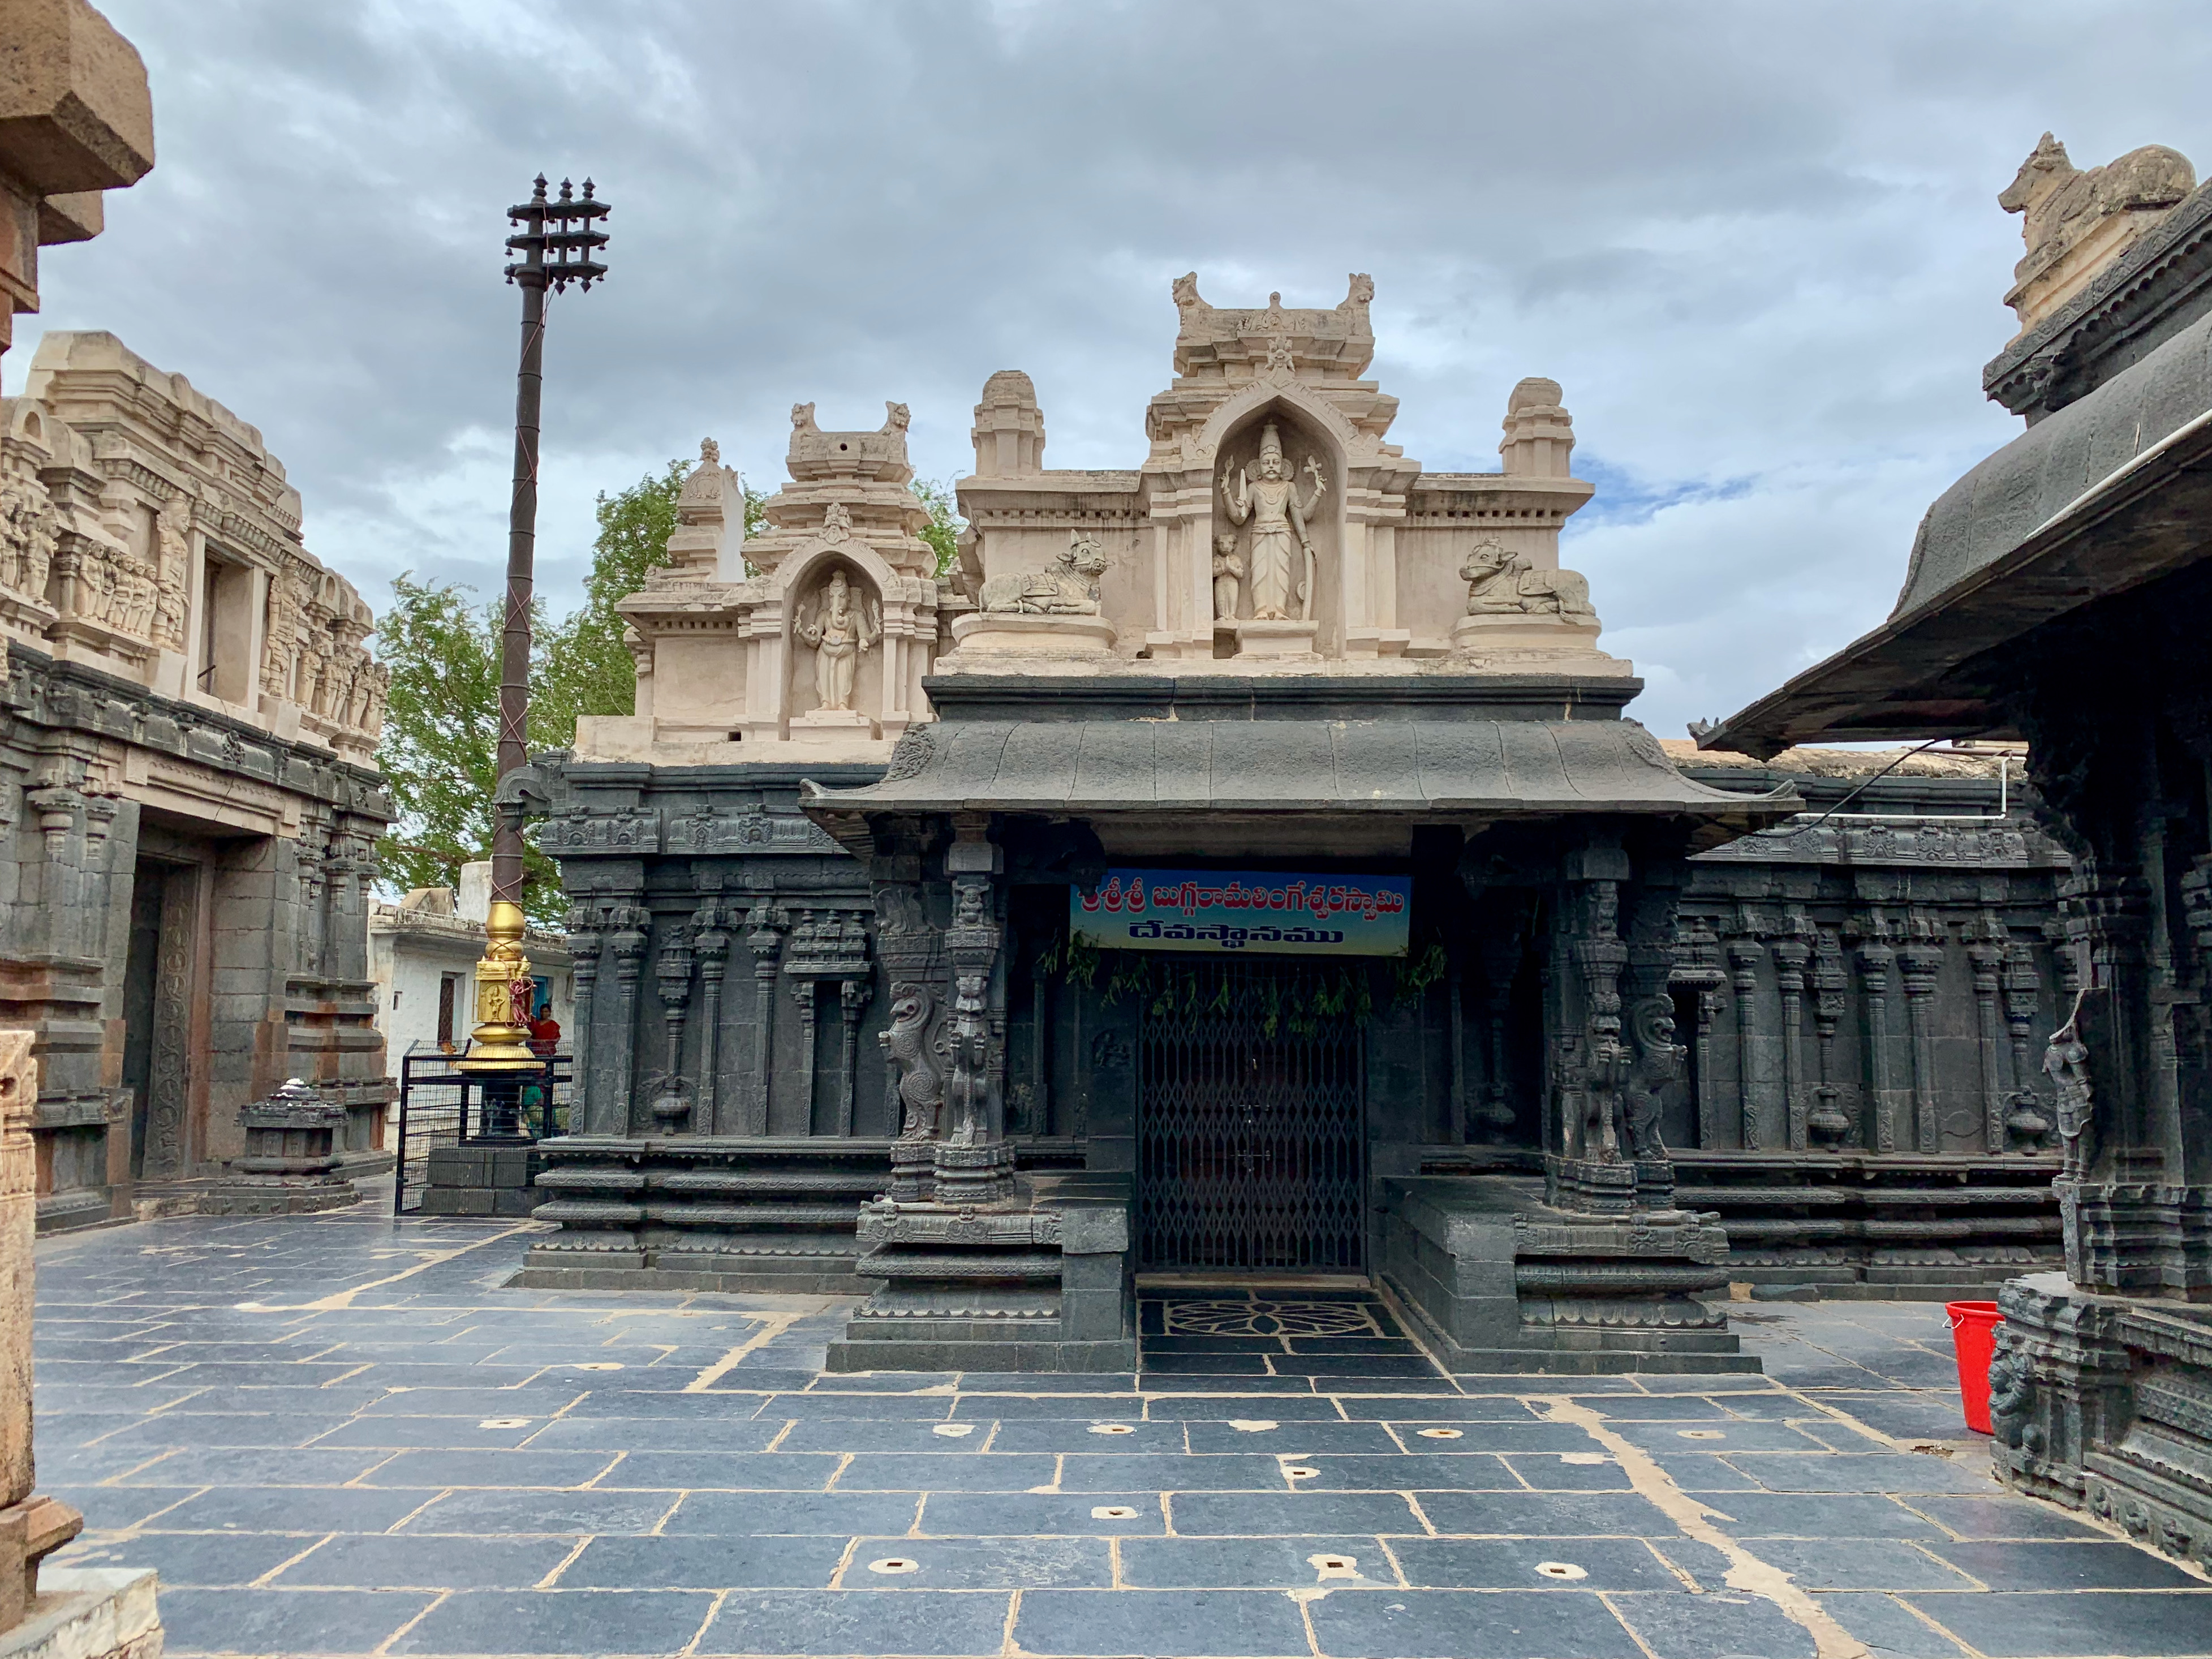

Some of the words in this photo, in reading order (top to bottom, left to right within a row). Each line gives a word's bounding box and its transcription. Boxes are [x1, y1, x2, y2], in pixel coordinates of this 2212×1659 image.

[1072, 866, 1149, 918] శ్రీ శ్రీ
[1146, 875, 1409, 924] బుగ్గరామలింగేశ్వరస్వామి
[1126, 910, 1350, 952] దేవస్థాసమ